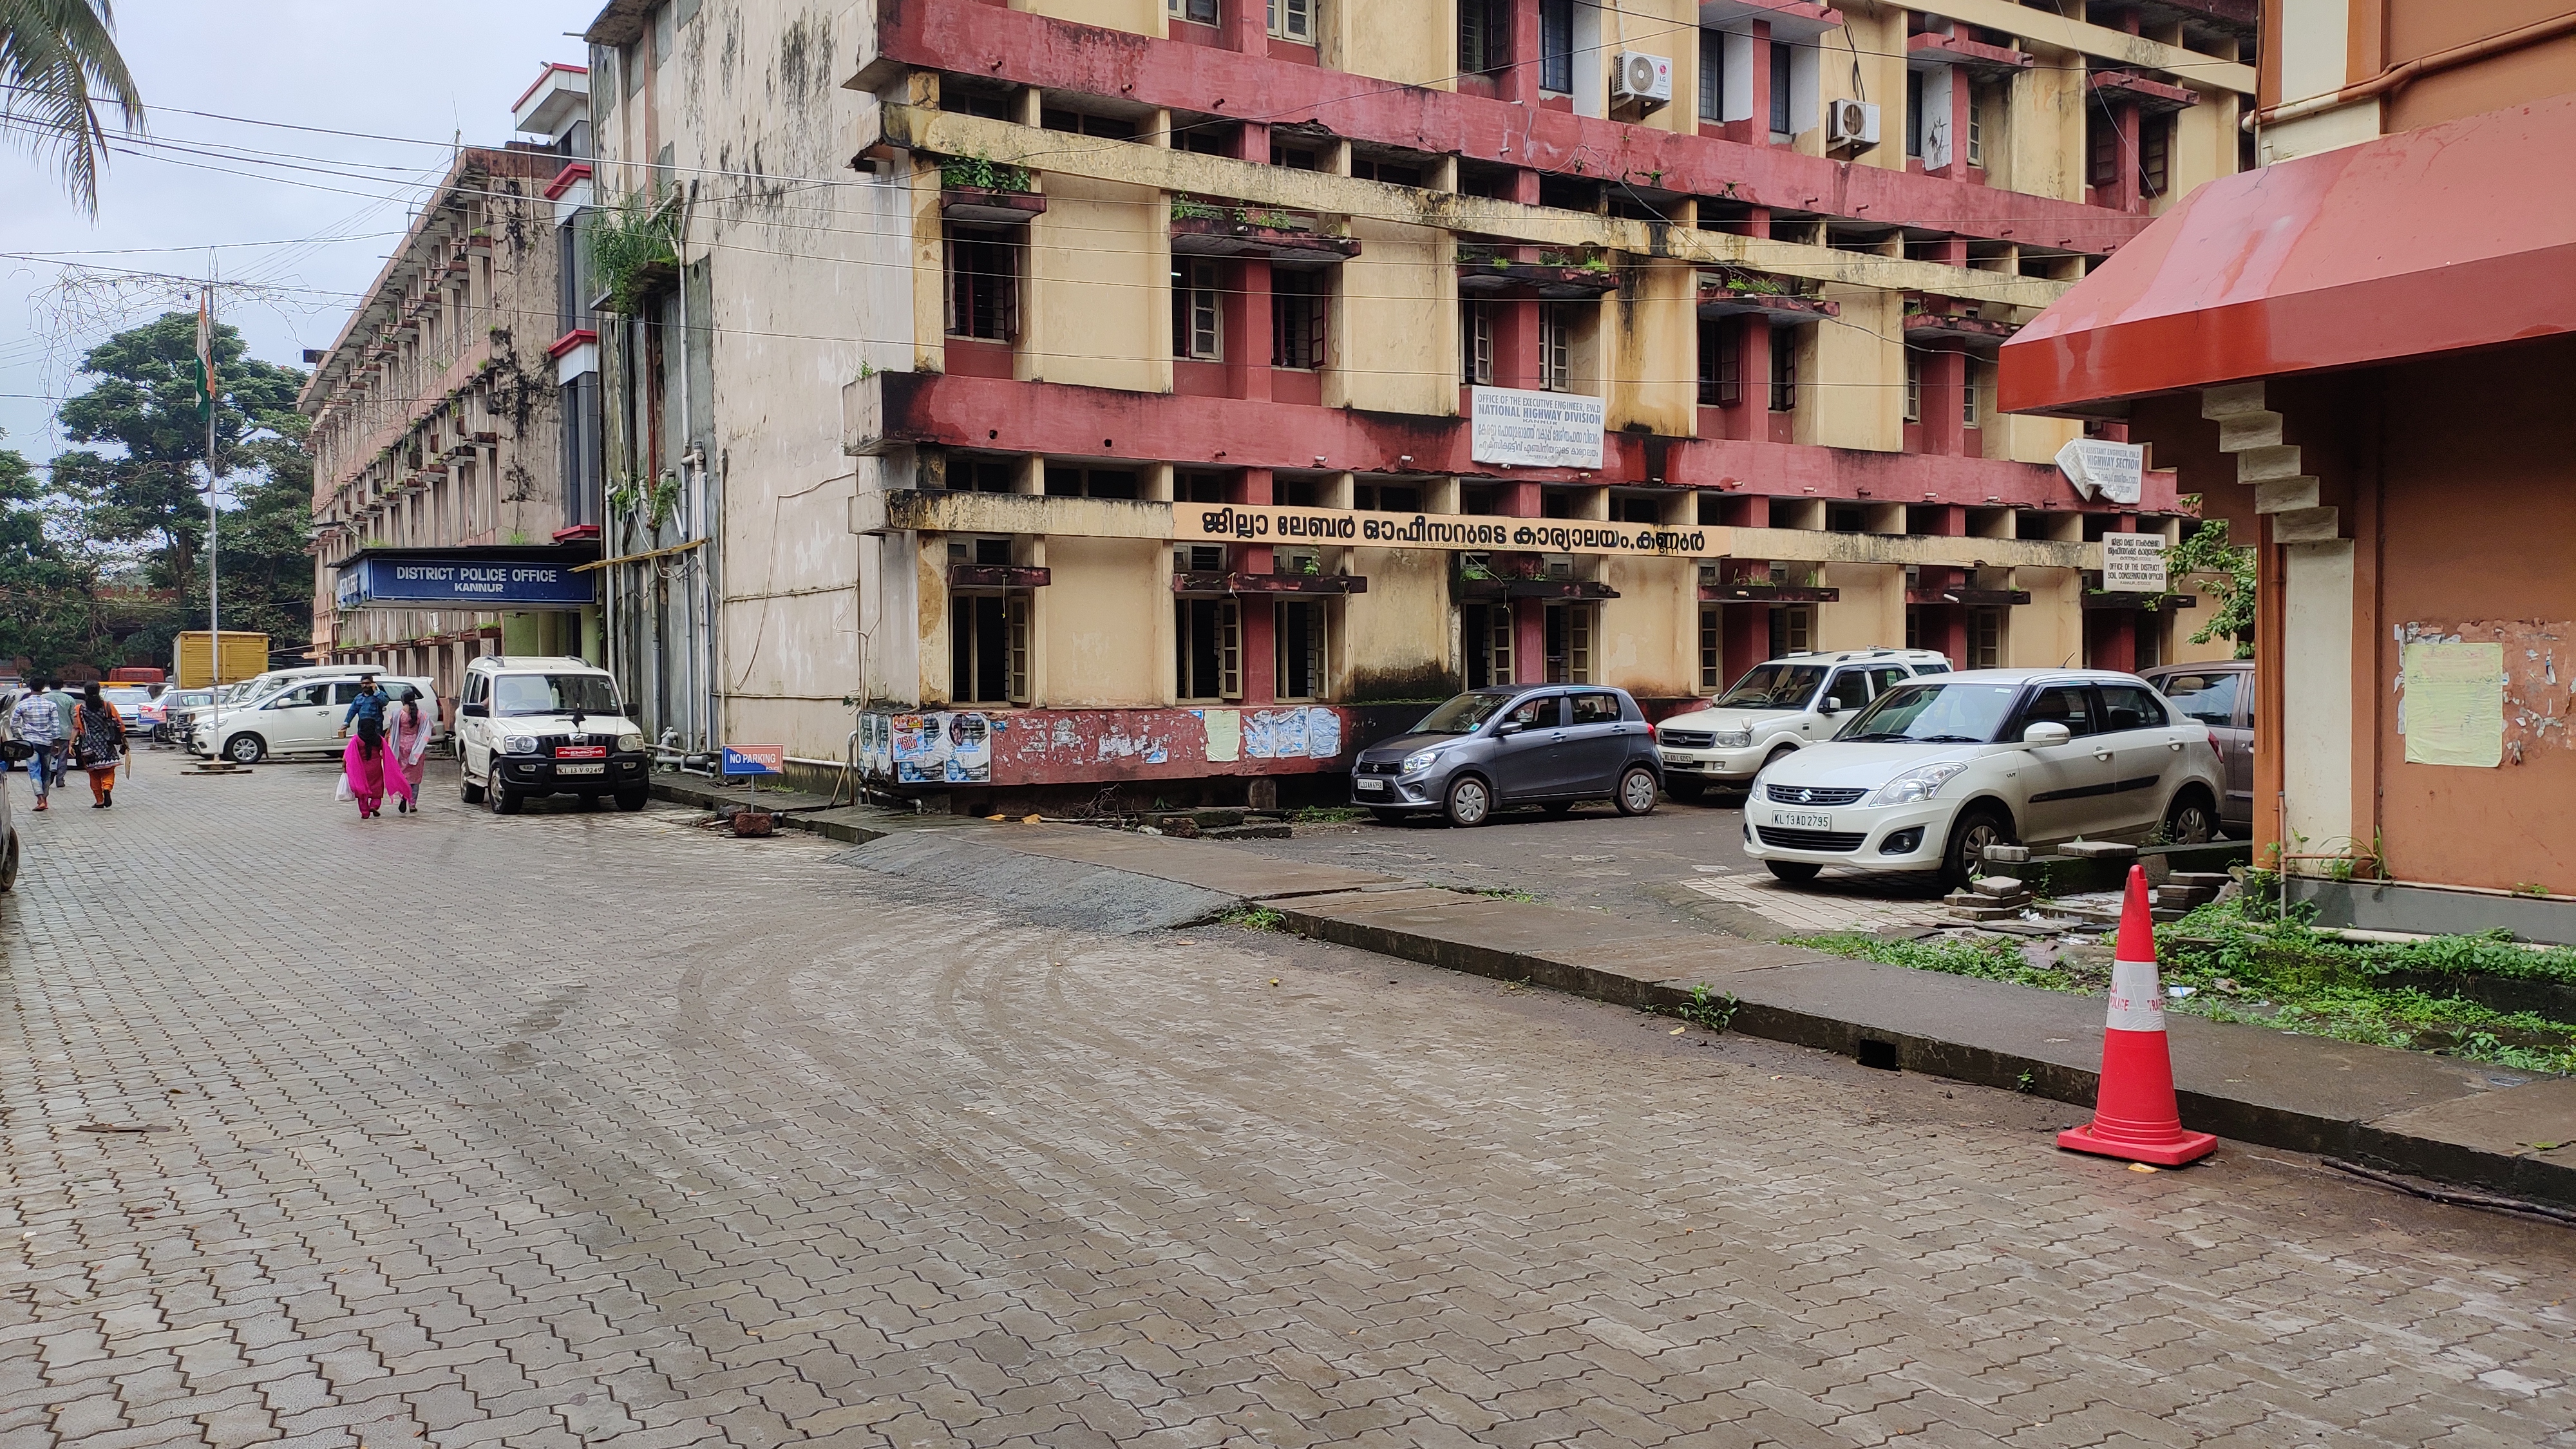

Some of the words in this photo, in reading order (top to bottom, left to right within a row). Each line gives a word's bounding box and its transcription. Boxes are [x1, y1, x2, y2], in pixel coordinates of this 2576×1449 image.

[1476, 391, 1501, 406] OFFICE
[1477, 402, 1522, 420] NATIONAL
[1495, 393, 1511, 408] OF
[1476, 419, 1539, 441] കേരള പൊതുമരാമത്ത്
[1508, 393, 1524, 408] THE
[1520, 393, 1556, 411] EXECUTIVE
[1518, 415, 1560, 430] KANNUR
[1519, 405, 1566, 424] HIGHWAY
[1533, 424, 1555, 446] വകുപ്പ്
[1551, 397, 1586, 414] ENGINEER,
[1548, 425, 1603, 445] ദേശീയപാതാവിഭാഗം
[1561, 407, 1604, 427] DIVISION
[1583, 401, 1605, 415] P.W.D
[1475, 435, 1525, 455] എക്‌സിക്യാട്ടീവ്
[1518, 437, 1573, 457] എഞ്ചിനീയരുടെ
[1567, 445, 1602, 458] കാര്യാലയം
[2081, 444, 2109, 458] ASSISTANT
[2085, 452, 2117, 468] HIGHWAY
[2104, 446, 2130, 461] ENGINEER,
[2113, 453, 2143, 471] SECTION
[2125, 448, 2143, 459] PWD
[1198, 506, 1273, 540] ജില്ലാ
[1276, 511, 1357, 540] ലേബർ
[1361, 510, 1508, 546] ഓഫീസറുടെ
[1509, 524, 1634, 554] കാര്യാലയം
[1633, 525, 1709, 556] കണ്ണൂർ
[2109, 533, 2126, 549] ജില്ലാ
[2104, 542, 2138, 558] ആഫീൻറുടെ
[2121, 536, 2137, 549] മണ്ണ്
[2135, 536, 2162, 547] സംരക്ഷണ
[395, 562, 457, 585] DISTRICT
[458, 563, 510, 583] POLICE
[510, 563, 560, 585] OFFICE
[2105, 569, 2118, 582] SOL
[2105, 560, 2126, 574] OFFICE
[2121, 561, 2132, 574] OF
[2116, 566, 2150, 582] CONSERVATION
[2128, 560, 2141, 573] THE
[2137, 561, 2163, 573] DISTRICT
[2145, 569, 2166, 581] OFFICER
[452, 580, 506, 595] KANNUR